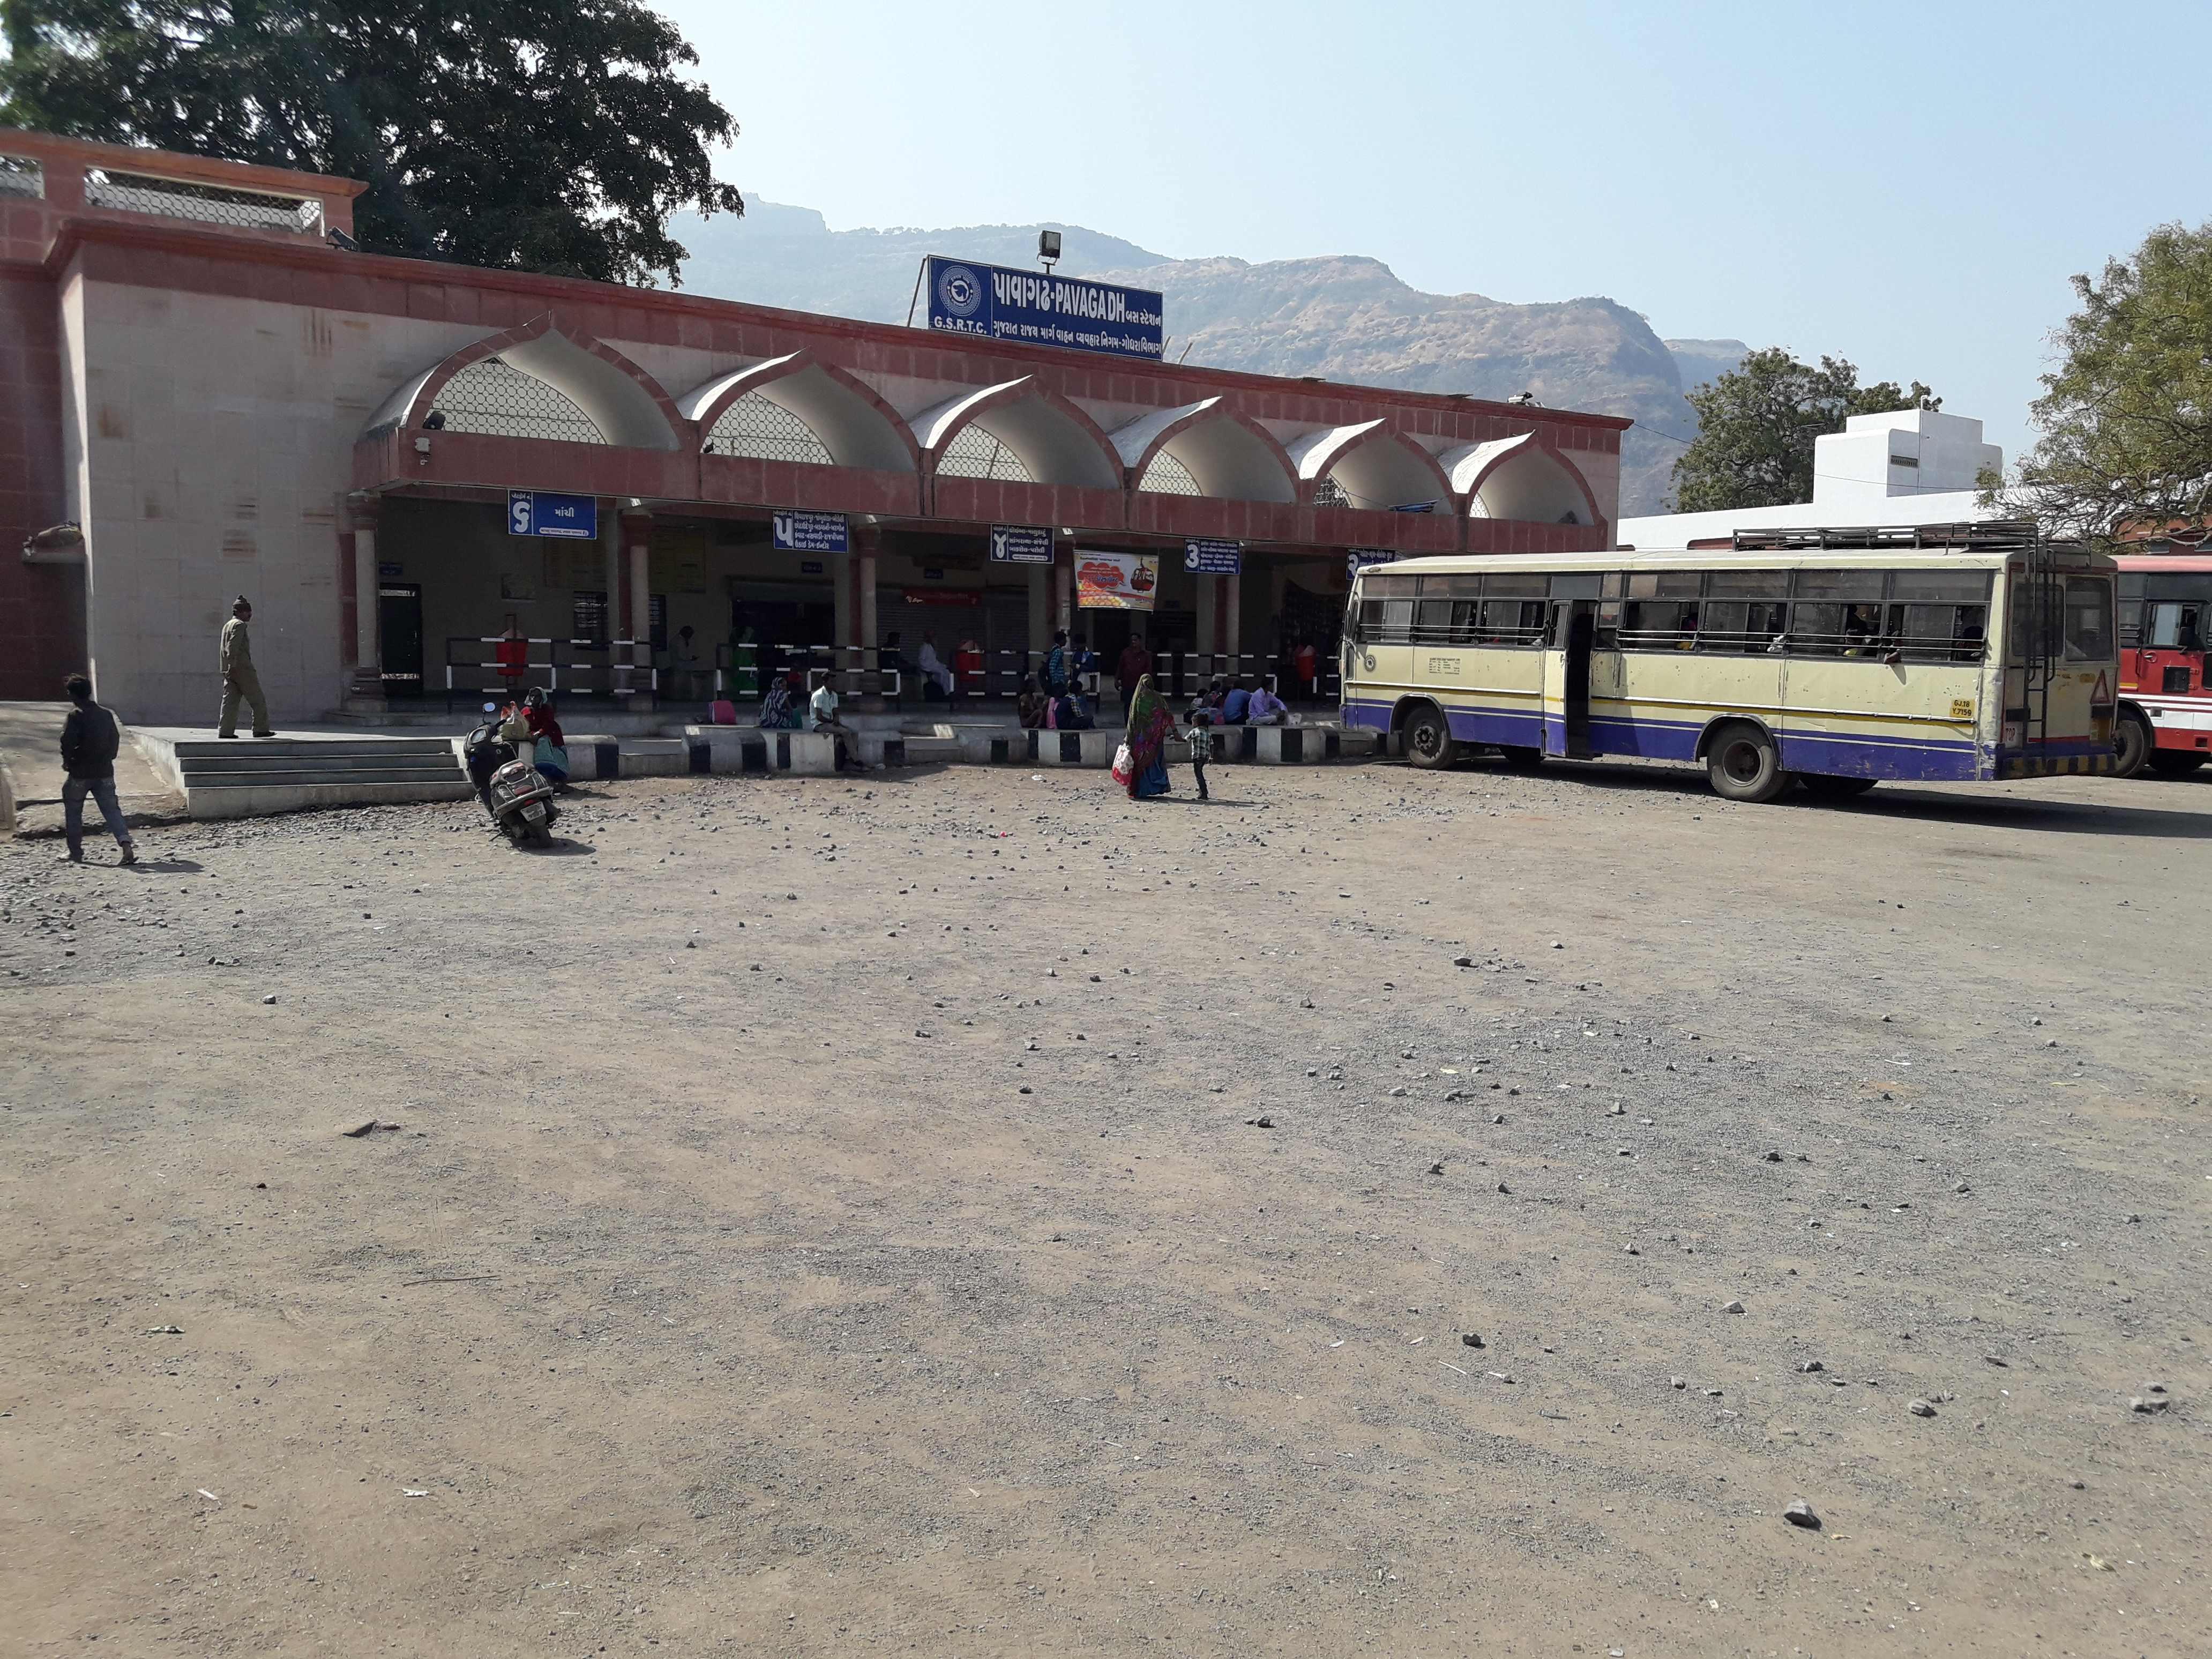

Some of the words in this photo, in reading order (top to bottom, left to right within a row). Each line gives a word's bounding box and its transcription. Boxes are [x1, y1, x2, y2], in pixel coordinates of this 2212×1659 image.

[991, 270, 1126, 325] પાવાગઢ-PAVAGADH
[930, 314, 988, 335] G.S.R.T.C.
[991, 320, 1019, 337] ગુજરાત
[1018, 323, 1040, 340] રાજય
[1038, 321, 1058, 342] માર્ગ
[1055, 328, 1075, 345] વાહન
[1075, 330, 1101, 348] વ્યવહાર
[1098, 330, 1162, 356] નિગમઃગોધરાવિભાગ
[1125, 309, 1139, 324] બસ
[1139, 307, 1162, 328] સ્ટેશન
[508, 500, 532, 535] ૬
[773, 514, 795, 548] પ
[991, 531, 1008, 561] ૪
[1184, 544, 1200, 572] 3